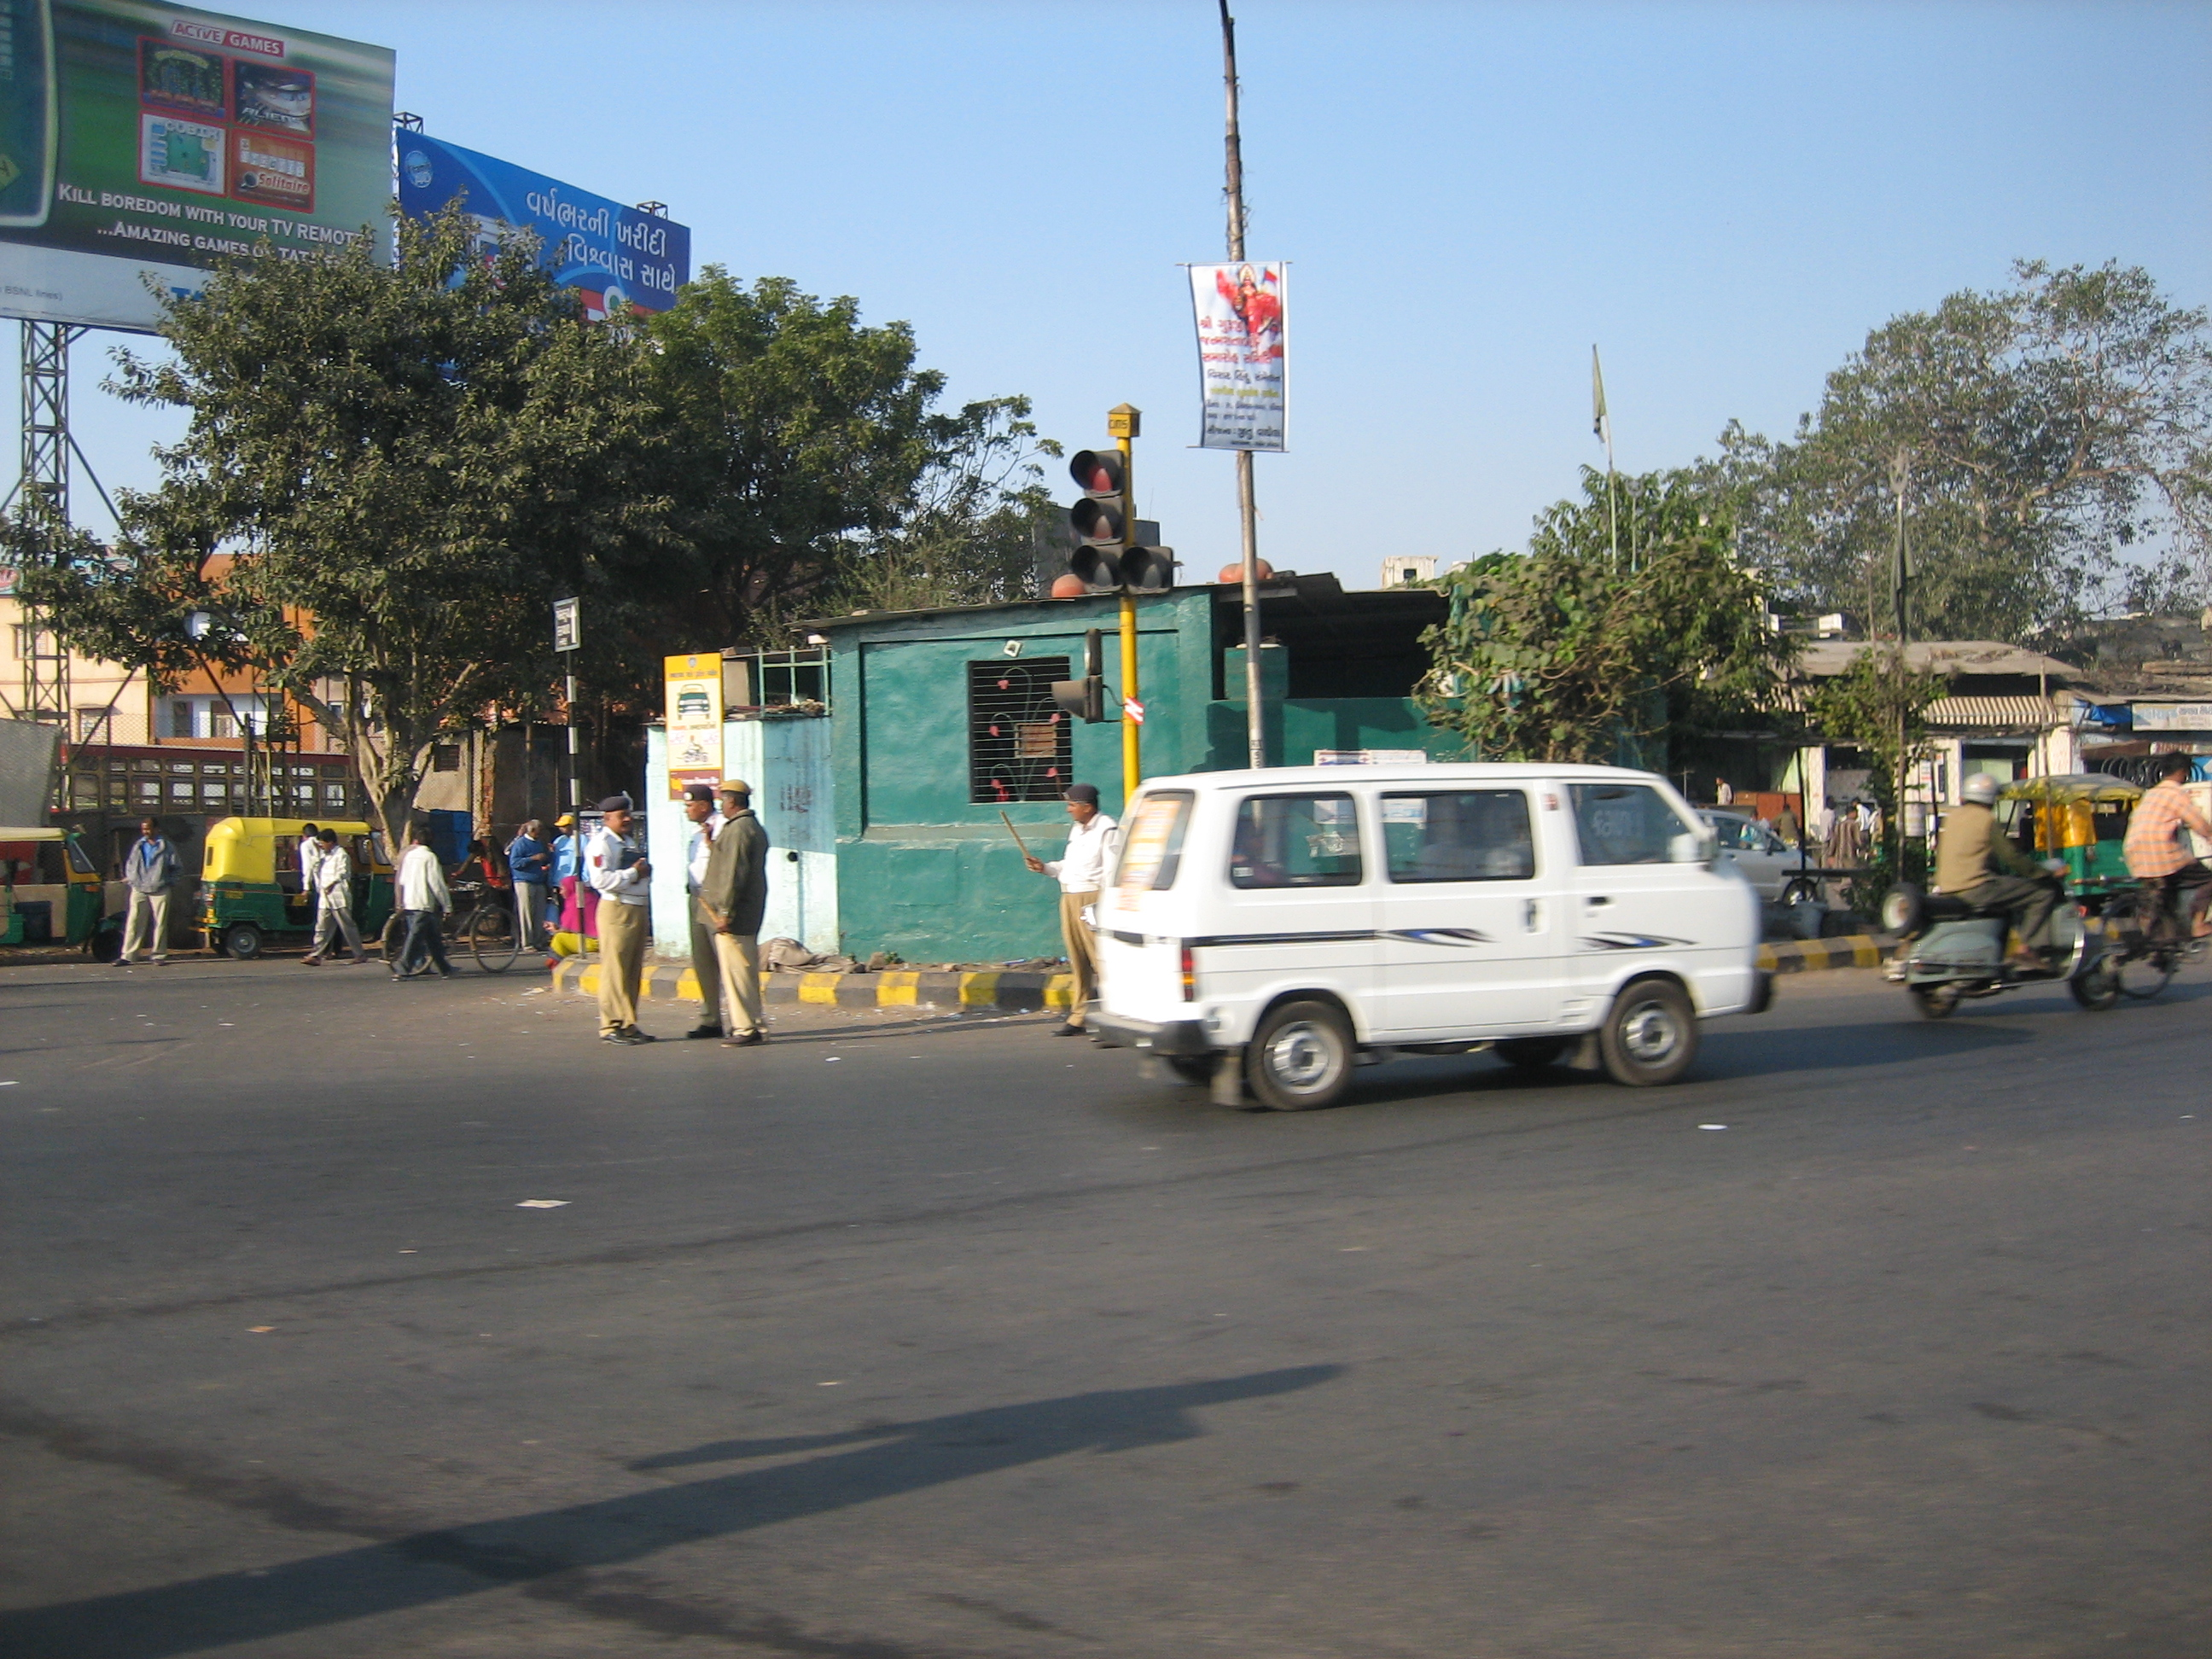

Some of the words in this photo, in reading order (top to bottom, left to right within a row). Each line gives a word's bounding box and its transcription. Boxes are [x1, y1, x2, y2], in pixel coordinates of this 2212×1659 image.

[223, 34, 281, 54] GAMES
[528, 189, 611, 230] વર્ષભરની
[614, 218, 667, 250] ખરીદદી
[567, 239, 629, 273] વિશ્વાસ
[636, 261, 673, 288] સાથ